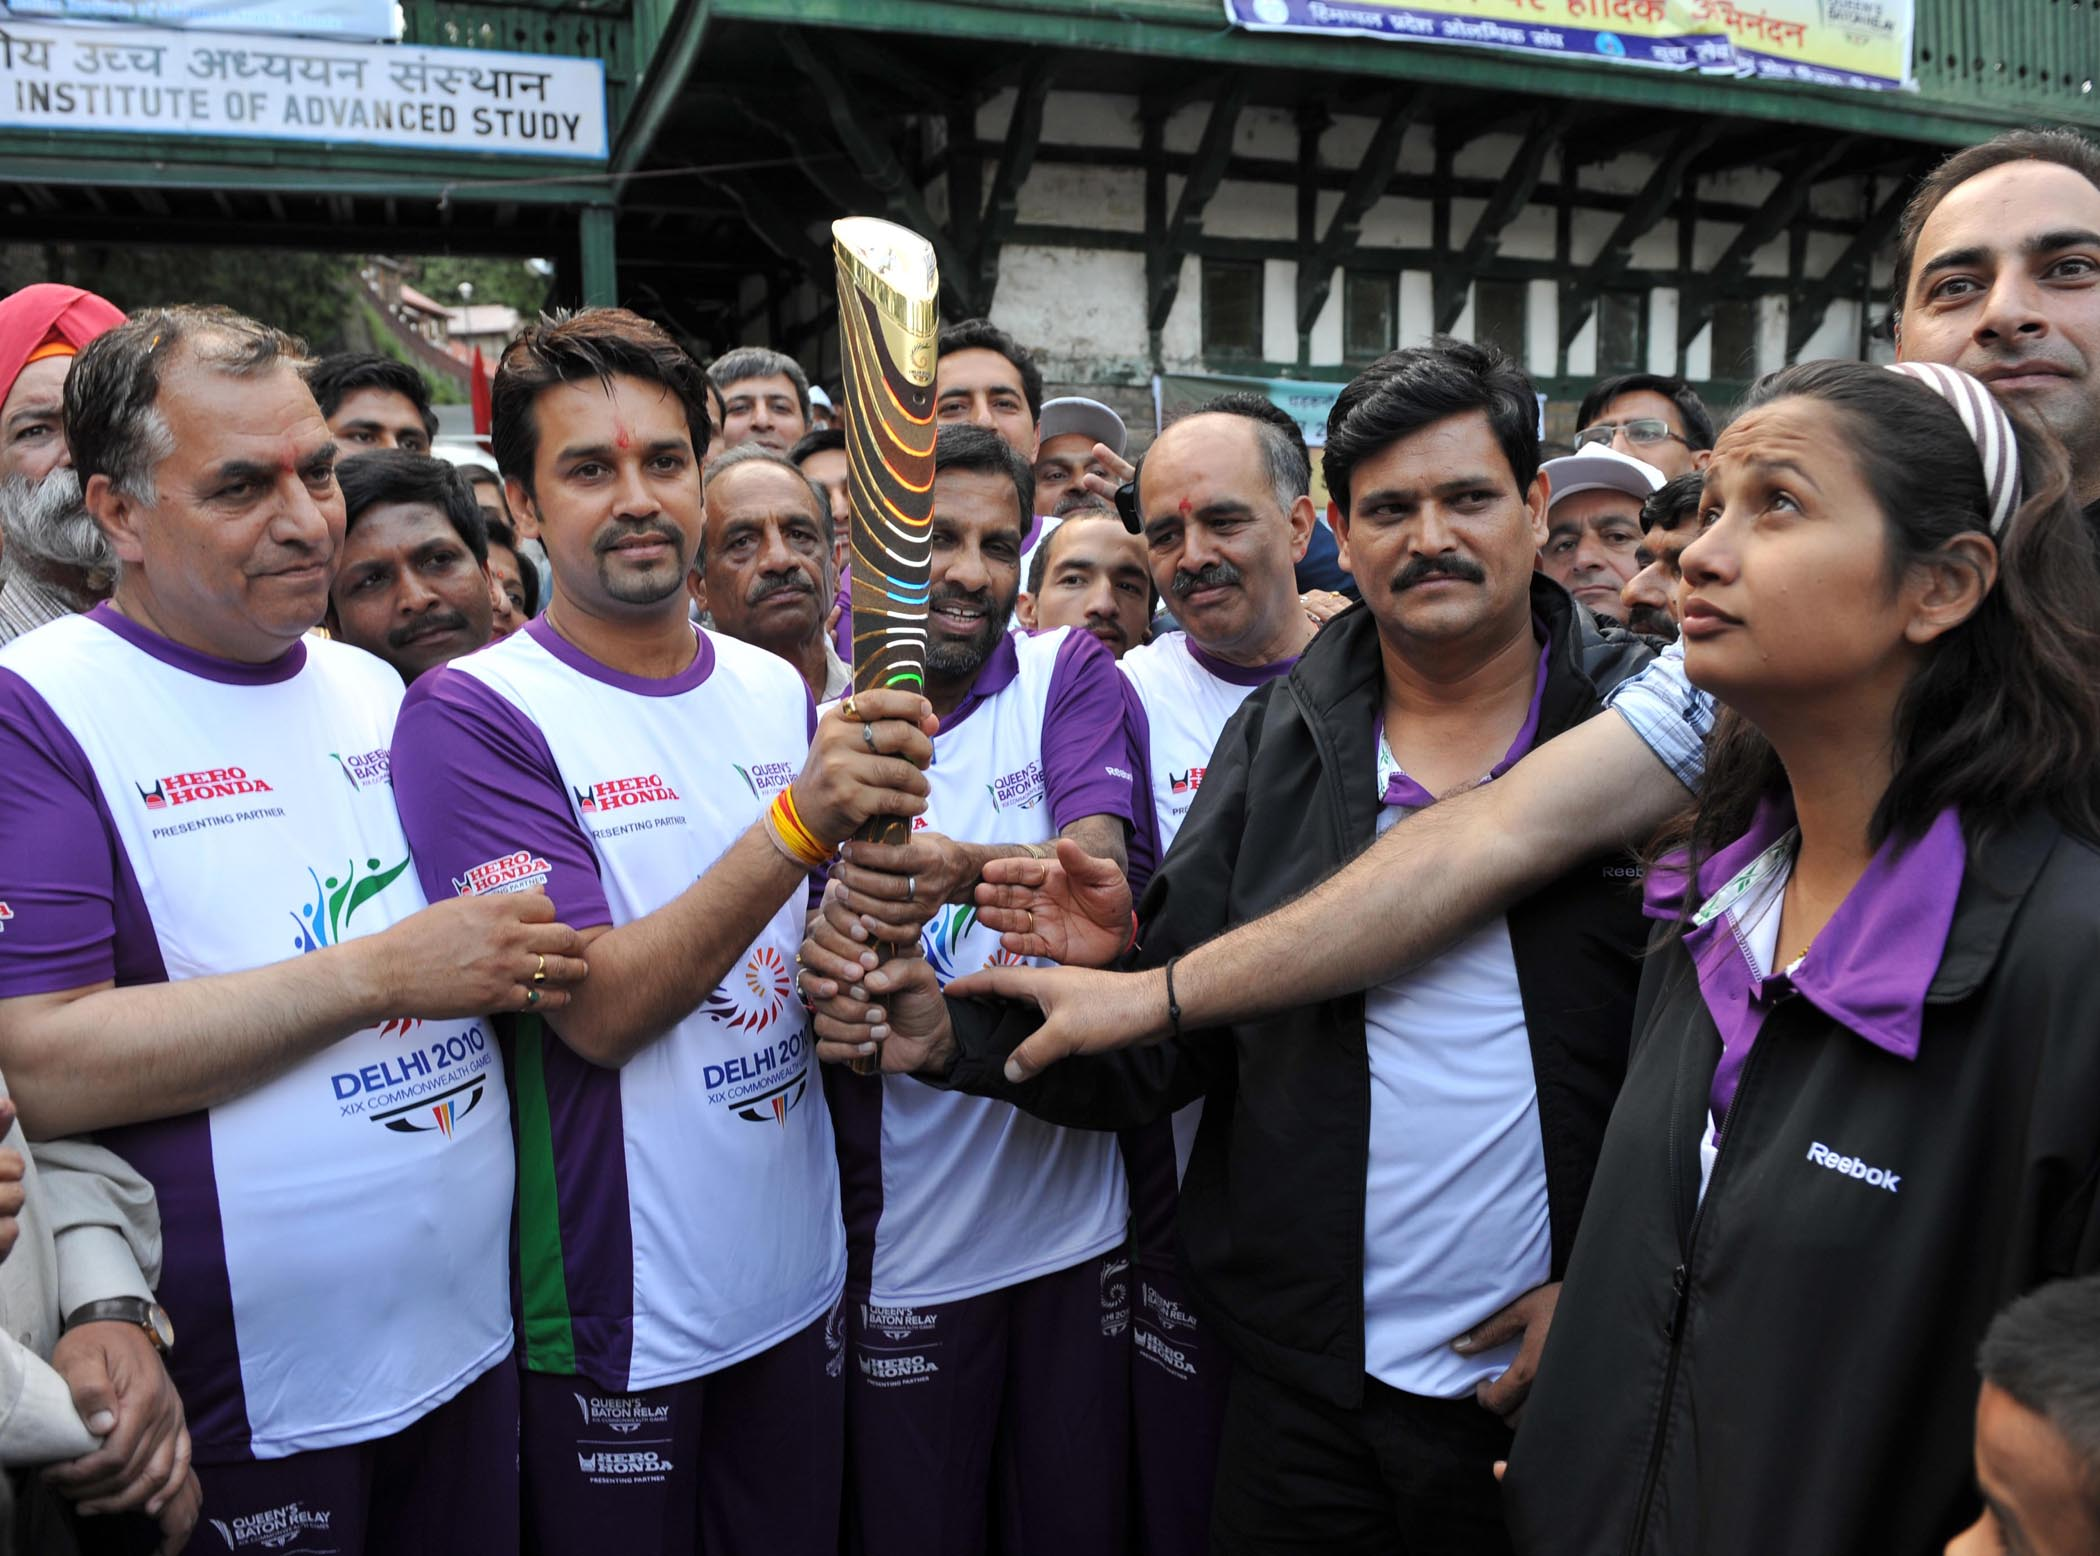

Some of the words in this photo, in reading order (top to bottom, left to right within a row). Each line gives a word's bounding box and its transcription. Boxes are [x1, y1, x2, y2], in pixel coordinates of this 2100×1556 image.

[76, 36, 168, 82] उच्च
[181, 43, 375, 91] अध्ययन
[386, 45, 553, 104] संस्‍थान
[1303, 2, 1387, 33] हिमाचल
[1387, 3, 1439, 37] प्रदेश
[1437, 10, 1529, 47] ओलम्पिक
[1525, 19, 1569, 55] संद्य
[1690, 31, 1743, 72] सेवा
[1687, 1, 1811, 55] मेनंदन
[11, 77, 216, 123] INSTITUTE
[218, 85, 275, 126] OF
[280, 89, 460, 137] ADVANCED
[470, 101, 580, 146] STUDY
[148, 807, 240, 844] PRESENTING
[157, 759, 252, 795] HERO
[163, 773, 278, 811] HONDA
[233, 801, 290, 827] PARTHER
[587, 813, 657, 845] RESENTING
[590, 770, 667, 800] HERO
[598, 781, 685, 817] HONDA
[651, 811, 690, 831] PARTNER
[463, 846, 535, 883] HERO
[465, 852, 553, 896] HONDA
[329, 1095, 375, 1118] XIX
[325, 1043, 436, 1107] DELHI
[367, 1057, 477, 1113] COMMONWEALTH
[431, 1019, 491, 1071] 2010
[463, 1046, 498, 1077] GAME
[701, 1087, 731, 1110] XIX
[697, 1040, 780, 1093] DELHI
[722, 1055, 805, 1103] COMMONWEALTH
[1801, 1136, 1903, 1198] Reebok
[867, 1349, 943, 1384] HERO HONDA
[591, 1447, 679, 1476] HEROHONDA
[227, 1513, 291, 1545] BATON
[224, 1494, 308, 1534] QUEEN
[287, 1507, 335, 1527] RELAY